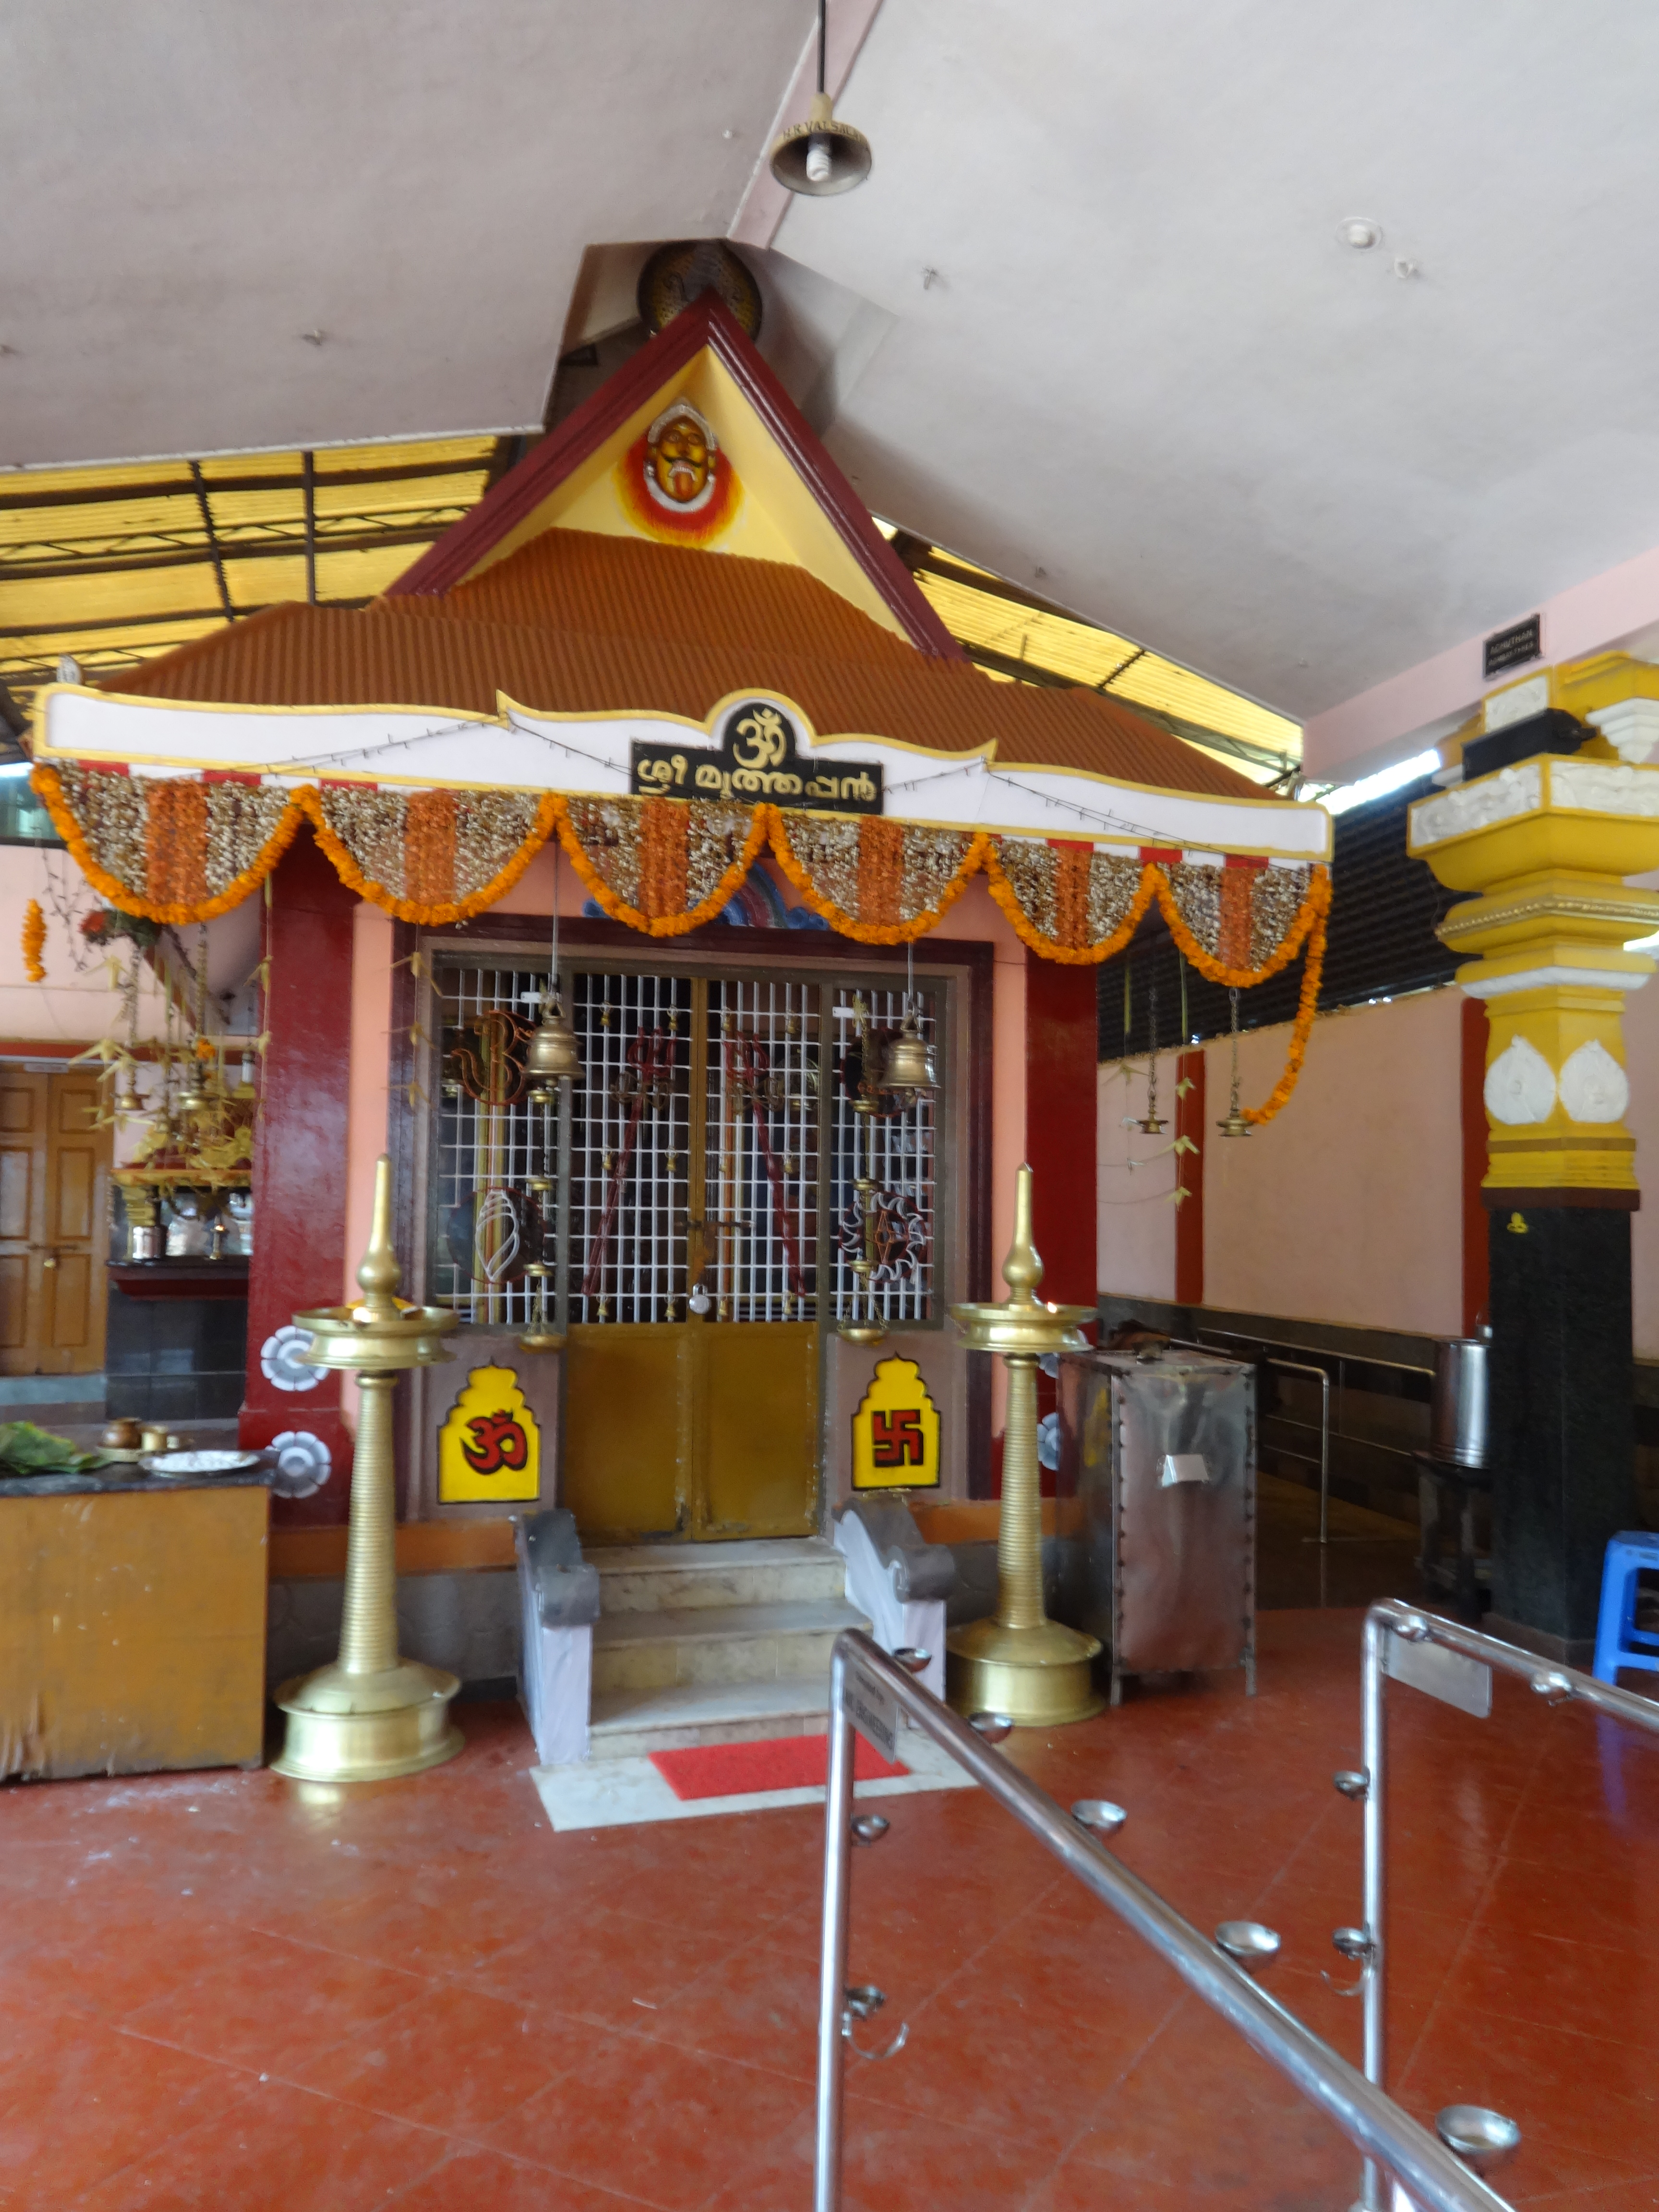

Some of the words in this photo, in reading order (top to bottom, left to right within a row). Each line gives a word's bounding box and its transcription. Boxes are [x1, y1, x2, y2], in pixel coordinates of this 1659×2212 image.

[727, 703, 790, 772] ऊँ
[634, 752, 691, 798] ശ്രീ
[691, 759, 804, 801] മുത്ത
[799, 770, 881, 804] പ്പൻ